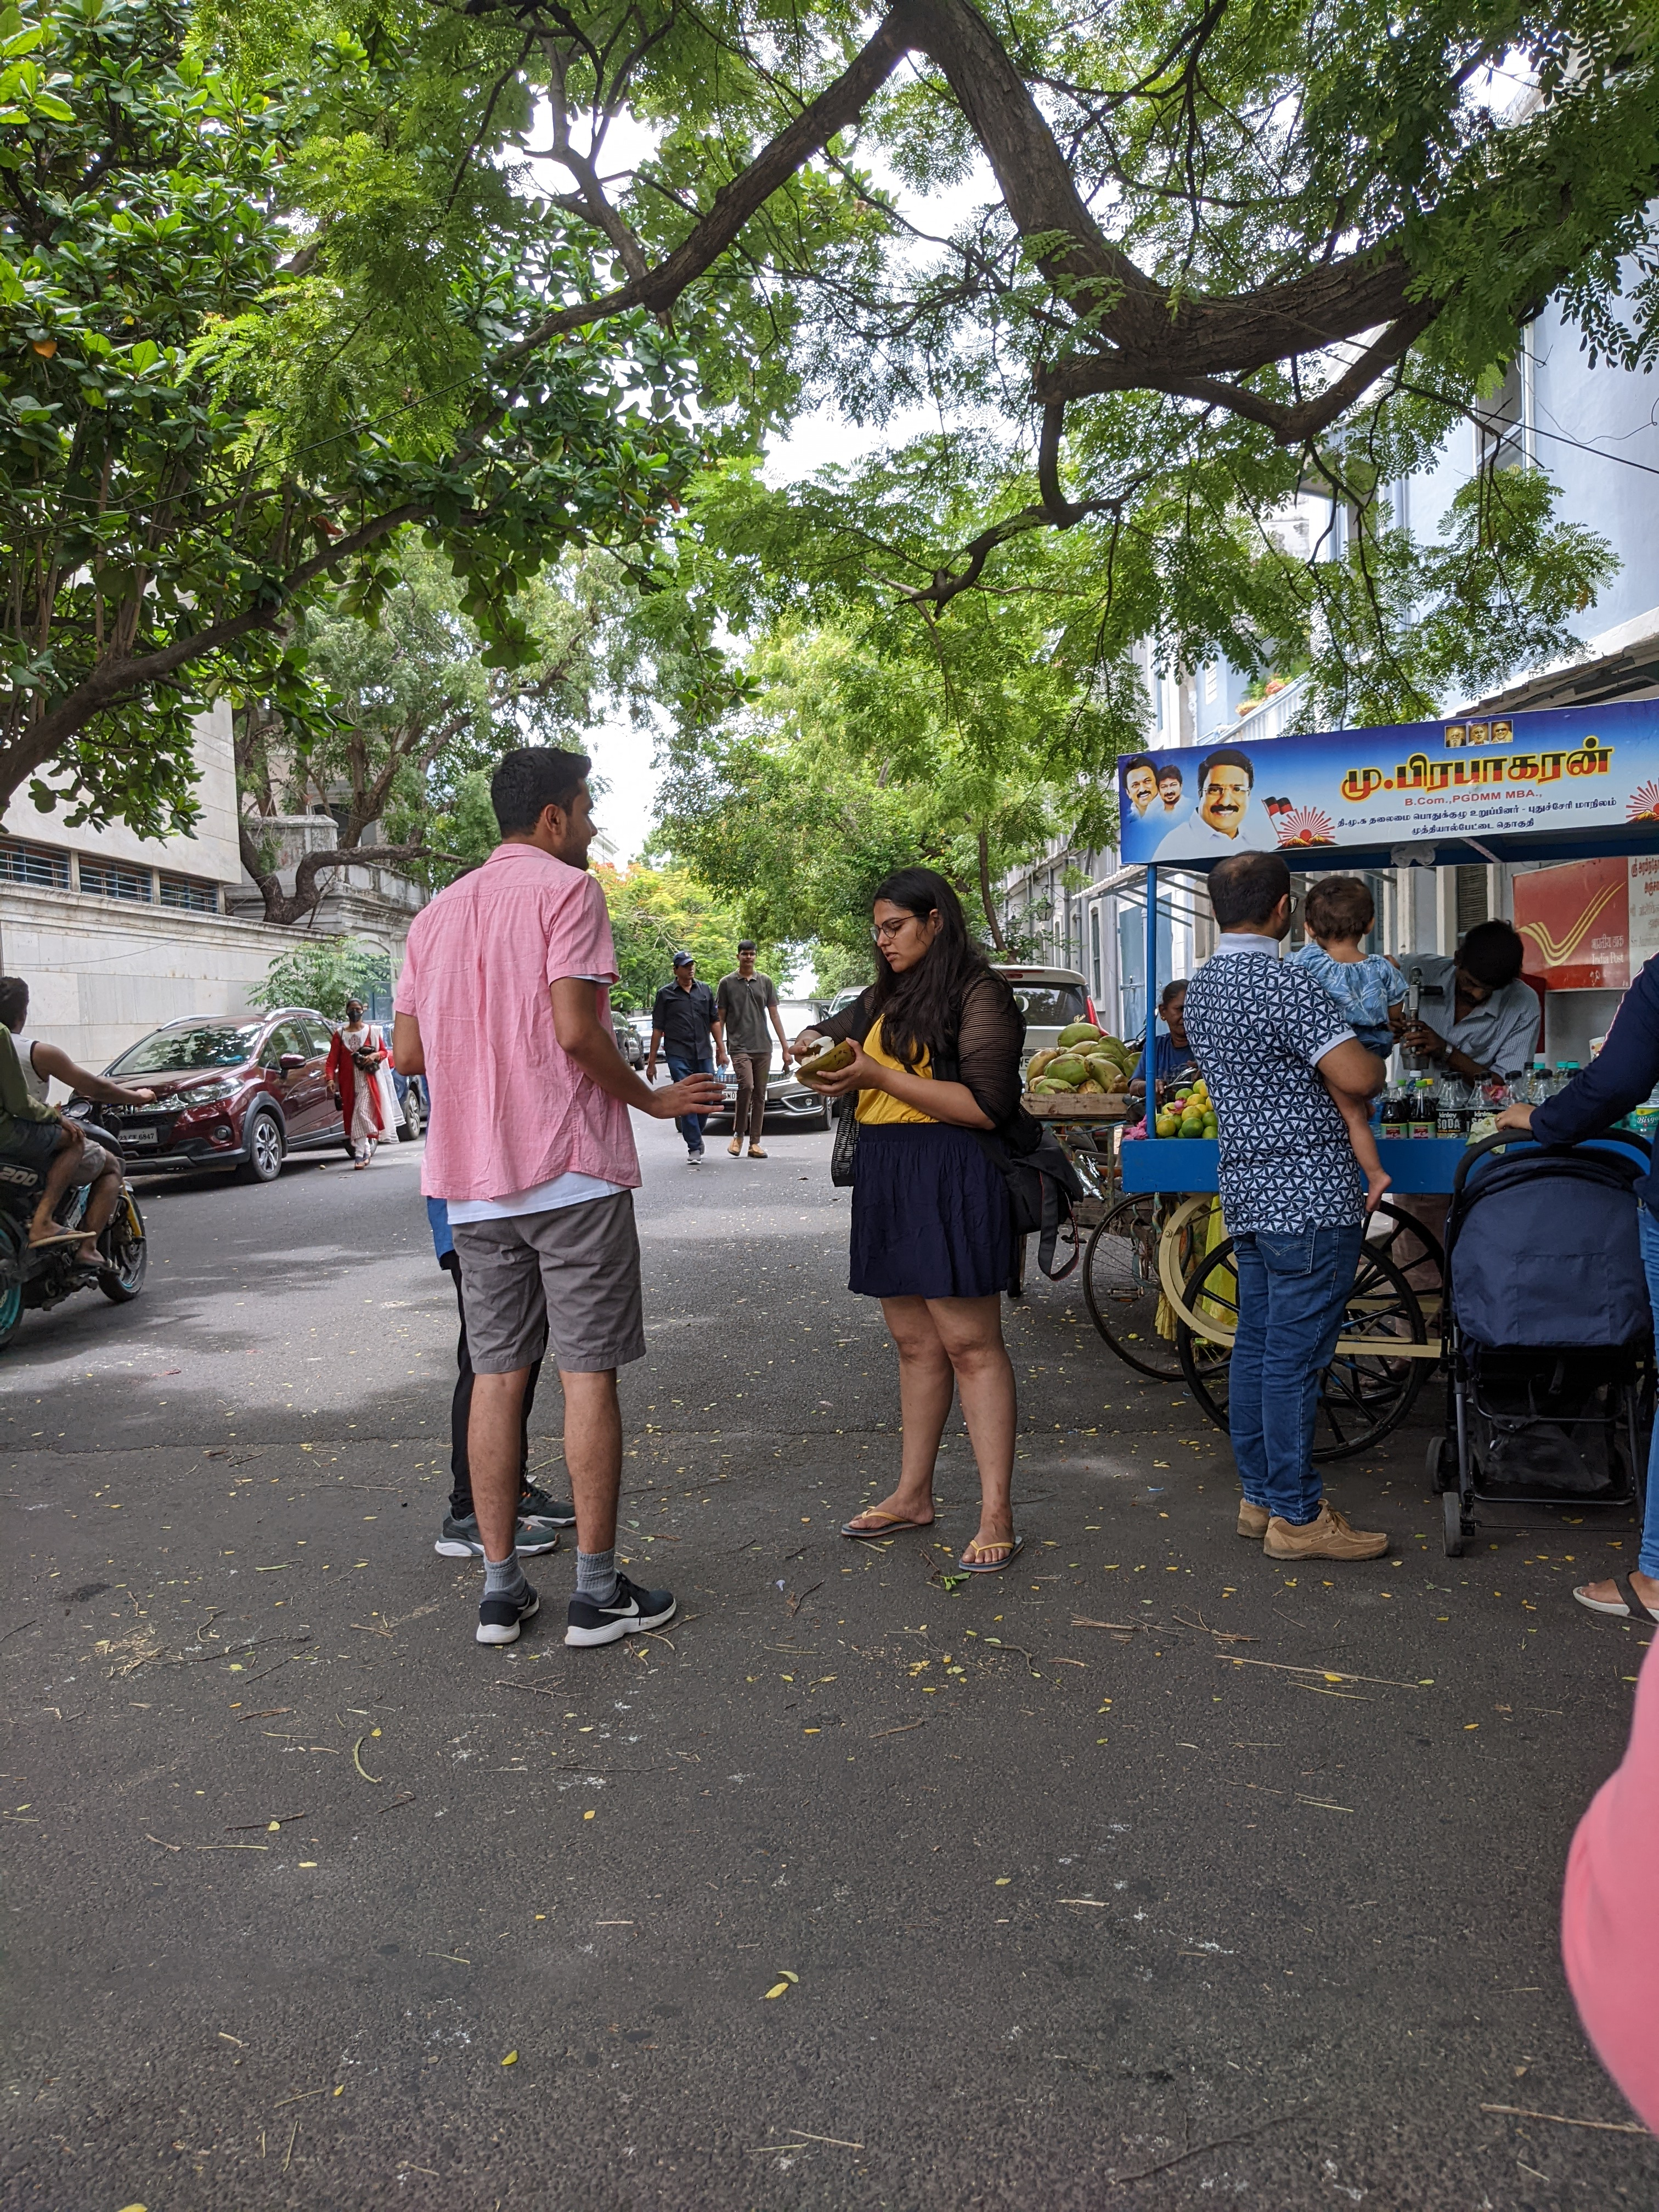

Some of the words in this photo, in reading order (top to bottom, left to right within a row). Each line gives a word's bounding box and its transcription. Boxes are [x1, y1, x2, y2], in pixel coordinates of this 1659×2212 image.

[1338, 732, 1615, 804] மு.பிரபாகரன்
[1335, 815, 1369, 829] தி.மு.க
[1367, 811, 1413, 826] தலைமை
[1402, 794, 1451, 810] B.Com.,
[1409, 805, 1471, 823] பொதுக்குழு
[1410, 821, 1496, 838] முத்தியால்பேட்டை
[1451, 790, 1504, 805] PGDMM
[1469, 802, 1522, 820] உறுப்பினா்
[1491, 816, 1536, 832] தொகுதி
[1504, 787, 1539, 804] MBA.
[1527, 798, 1576, 815] புதுச்சேரி
[1572, 794, 1619, 813] மாநிலம்
[1589, 930, 1613, 952] भारतीय
[1610, 932, 1626, 950] डाक
[1590, 950, 1611, 966] India
[1608, 951, 1626, 966] Post